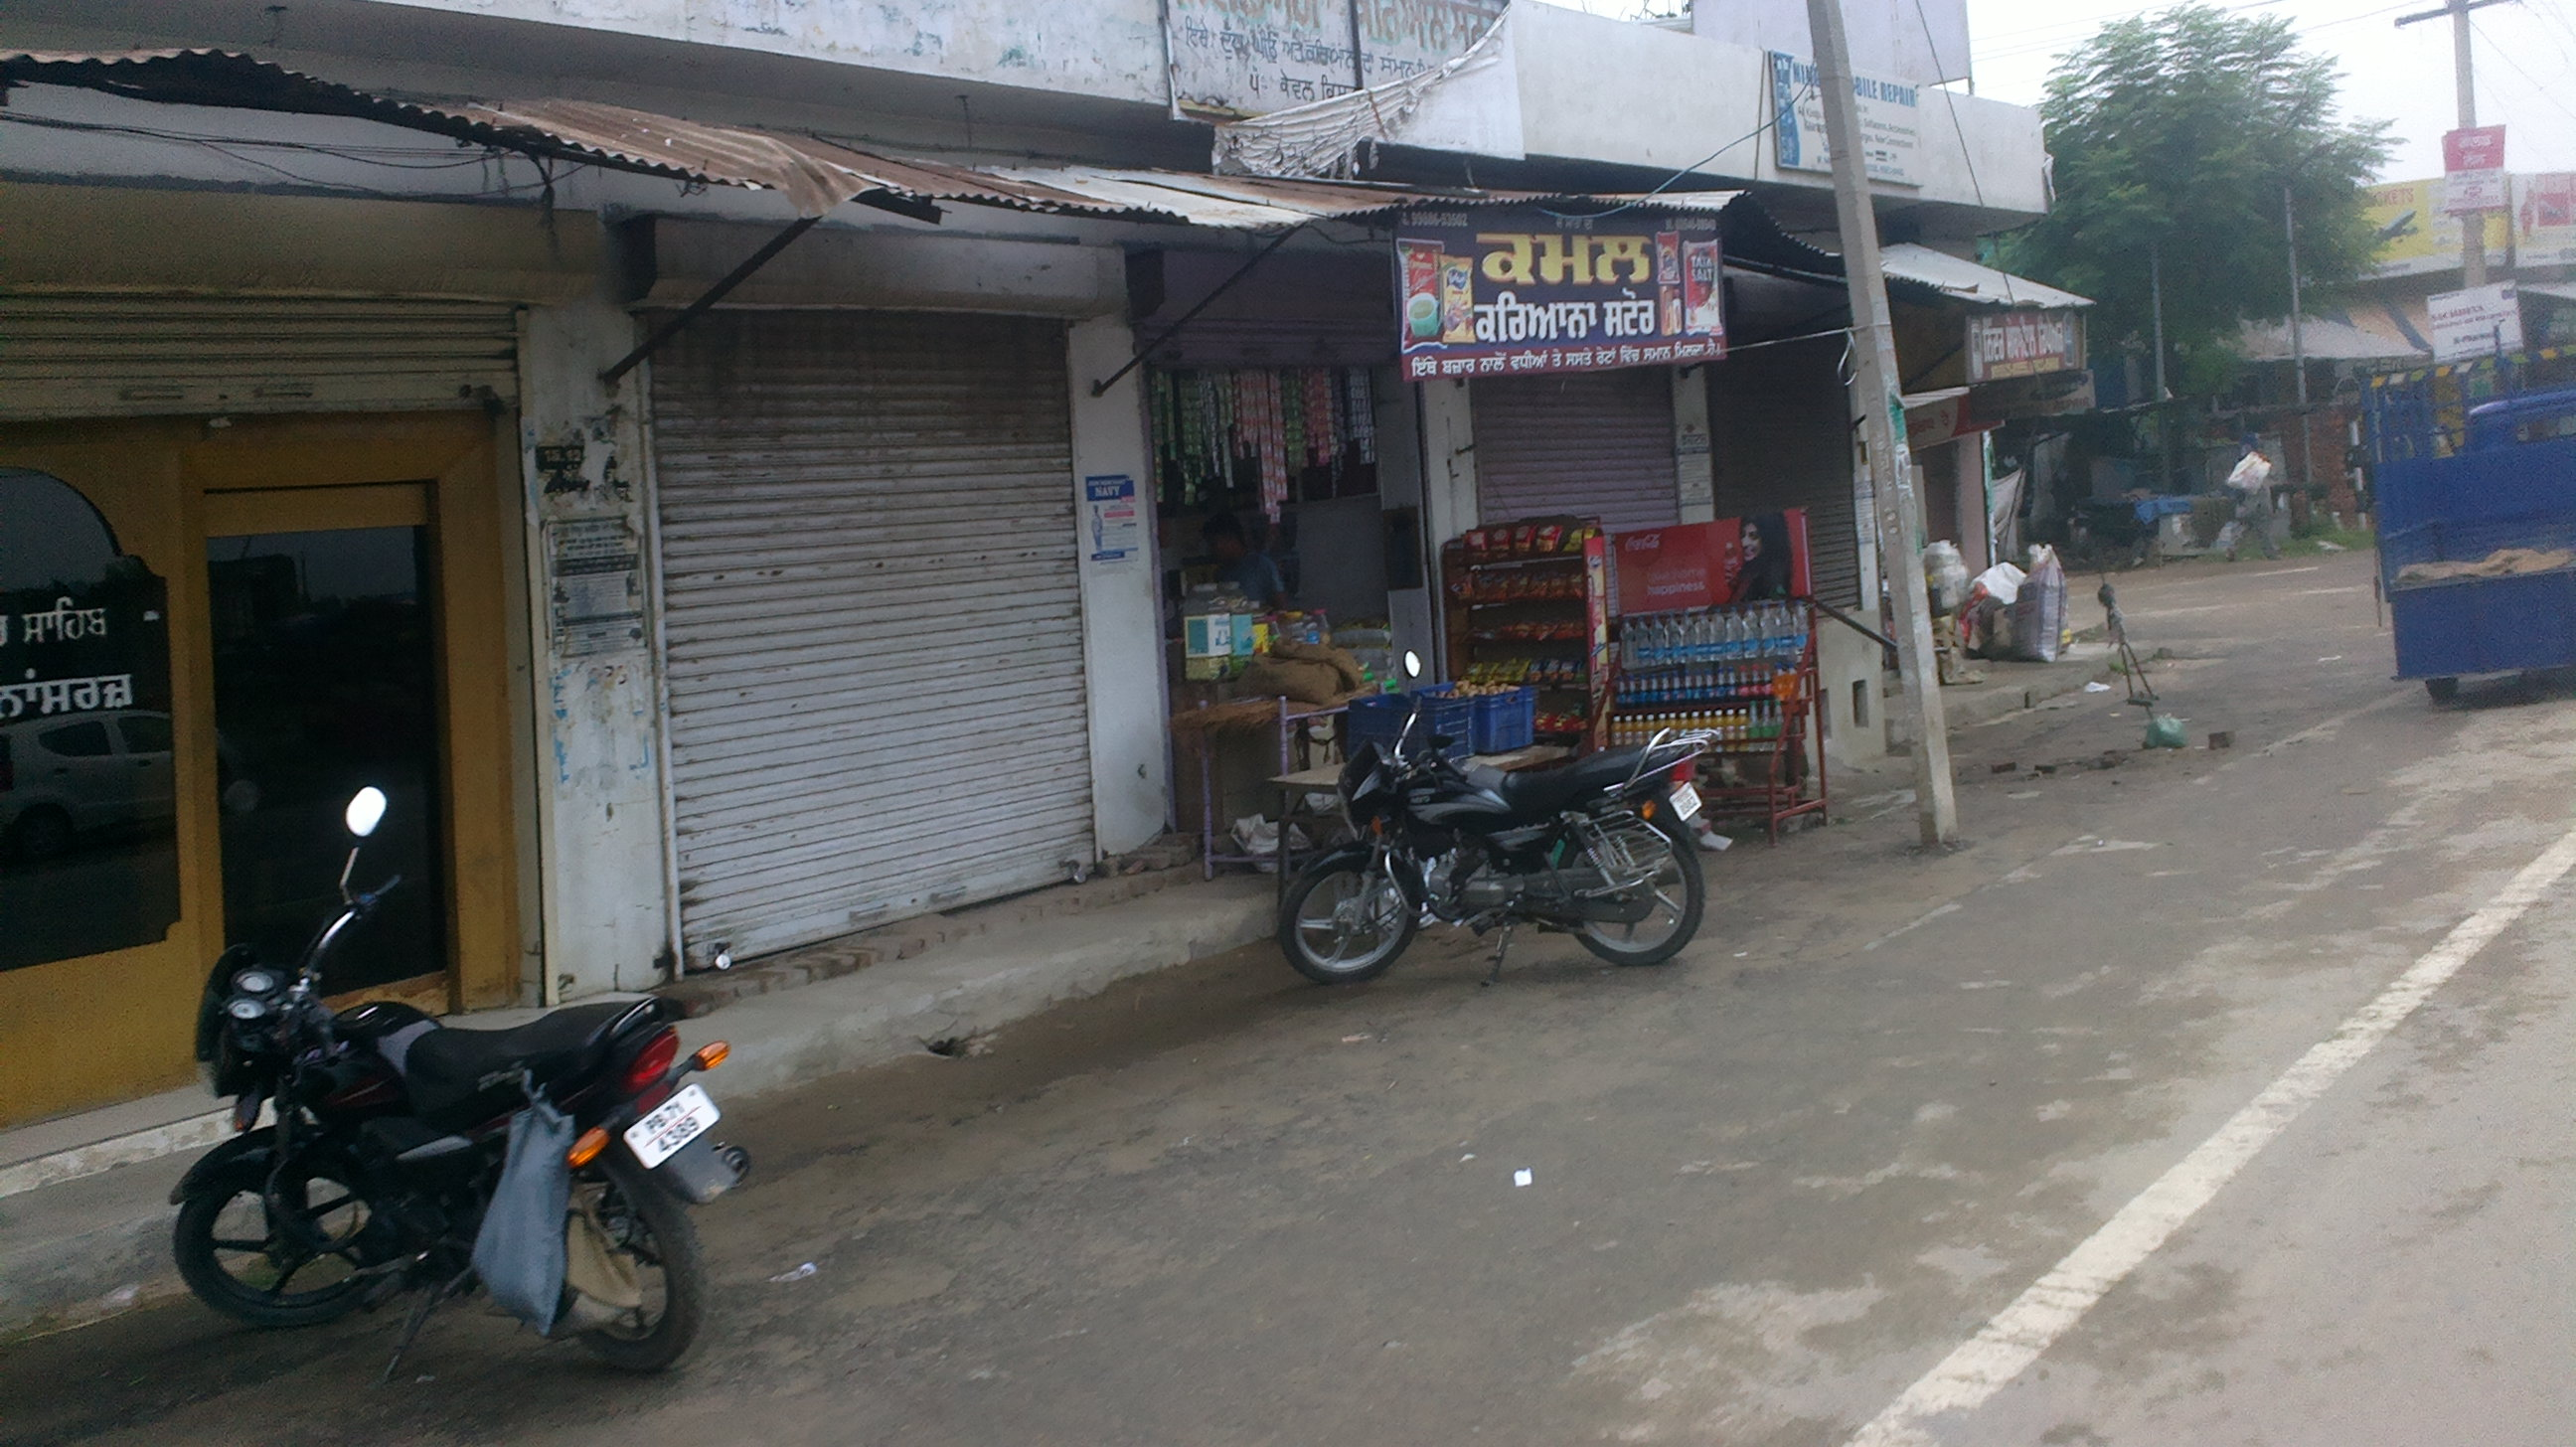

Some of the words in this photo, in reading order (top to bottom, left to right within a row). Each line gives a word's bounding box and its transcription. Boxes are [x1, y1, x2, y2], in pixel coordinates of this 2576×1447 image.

[1273, 63, 1319, 105] ਕੇਵਲ
[1470, 228, 1657, 288] ਕਮਲ
[1473, 287, 1600, 349] ਕਰਿਆਨਾ
[1599, 283, 1659, 342] ਸਟੋਰ
[17, 593, 114, 649] ਸਾਹਿਬ
[0, 664, 138, 725] ਨਾਂਸਰਜ਼